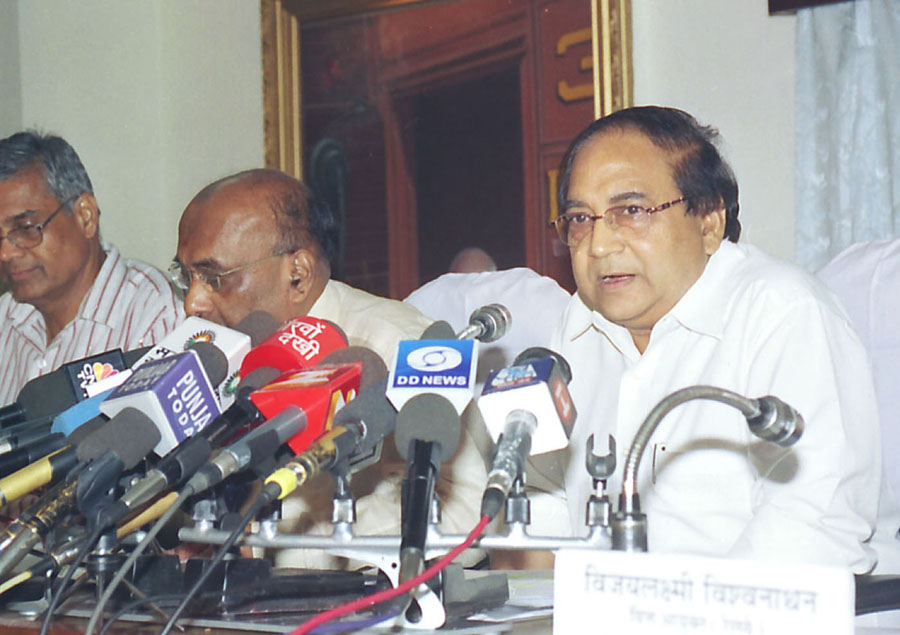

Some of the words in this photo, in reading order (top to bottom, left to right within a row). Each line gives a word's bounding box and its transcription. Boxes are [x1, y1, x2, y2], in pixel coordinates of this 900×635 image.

[175, 365, 213, 433] PUMA
[396, 371, 422, 387] DD
[420, 371, 469, 390] NEWS
[579, 560, 696, 606] विजयलक्ष्मी
[702, 572, 818, 617] विश्वनाथन